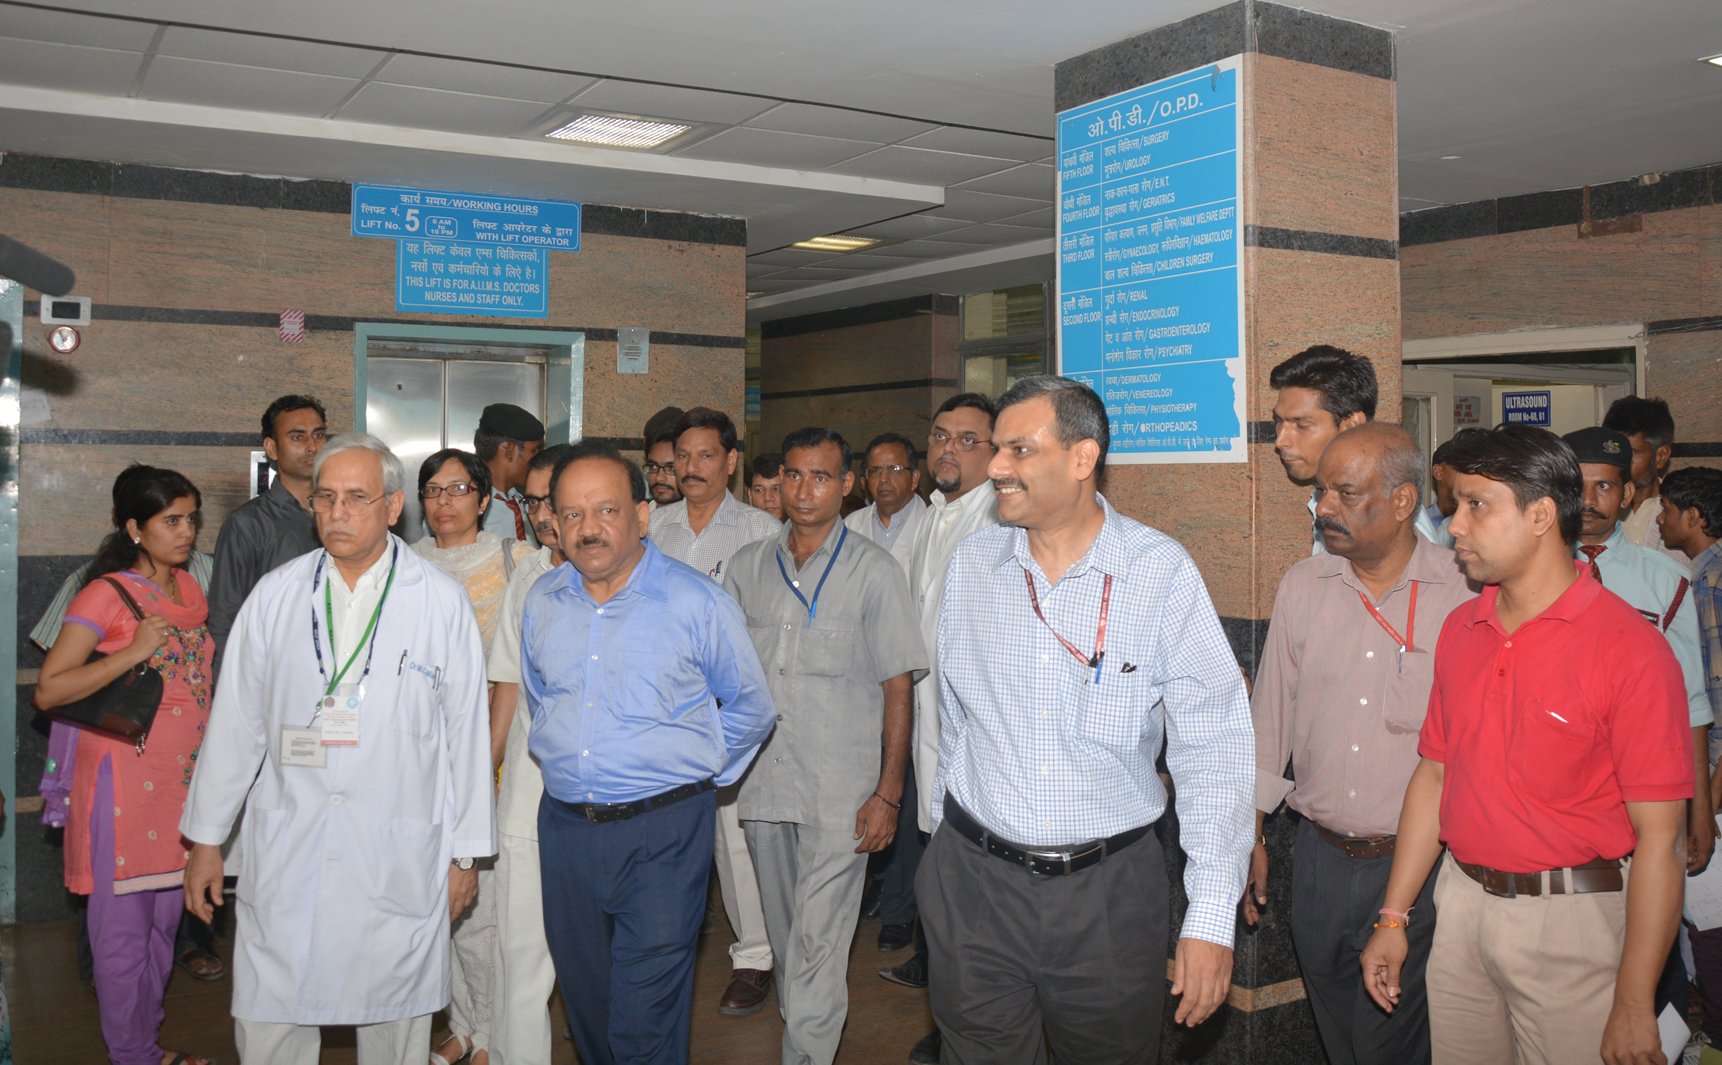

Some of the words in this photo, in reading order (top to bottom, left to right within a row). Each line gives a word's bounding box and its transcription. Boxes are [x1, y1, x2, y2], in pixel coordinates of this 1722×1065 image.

[1153, 89, 1207, 126] O.P.D.
[1081, 99, 1151, 143] ओ॰पी॰डी॰
[356, 215, 386, 231] LIFT
[357, 197, 389, 217] लिफ्ट
[381, 217, 403, 235] No.
[385, 200, 405, 218] नं.
[395, 188, 425, 206] कार्य
[396, 239, 425, 257] यह
[401, 270, 426, 294] THIS
[405, 255, 432, 275] नर्सो
[416, 235, 449, 259] लिफ्ट
[420, 273, 445, 291] LIFT
[425, 256, 447, 278] एवं
[423, 192, 452, 209] समय
[419, 287, 462, 307] NURSES A
[443, 237, 476, 261] केवल
[452, 275, 472, 295] FOR
[455, 289, 478, 307] AND
[443, 255, 493, 277] कर्मचारियो
[449, 194, 505, 215] WORKING
[470, 244, 495, 263] एम्स
[465, 214, 501, 234] लिफ्ट
[469, 228, 502, 244] WITH
[468, 277, 505, 297] A.I.I.M.S.
[471, 291, 503, 309] STAFF
[487, 260, 506, 277] के
[494, 229, 523, 246] LIFT
[495, 291, 527, 310] ONLY.
[501, 257, 525, 283] लिऐ
[490, 238, 541, 266] चिकित्सकों,
[499, 219, 540, 236] आपरेटर
[497, 278, 543, 300] ००८७०१५
[502, 199, 543, 217] HOURS
[517, 260, 541, 283] है।
[538, 218, 556, 237] क‍े
[521, 232, 573, 249] ०९६९४००९
[552, 224, 577, 240] द्वारा
[1058, 190, 1079, 214] चौथी
[1055, 231, 1082, 253] तीसरी
[1057, 291, 1080, 315] दूसरी
[1057, 147, 1081, 171] पांचवी
[1059, 310, 1087, 328] SECOND
[1059, 244, 1098, 266] THIRDFLOOR
[1059, 162, 1099, 185] FIFTHFLOOR
[1059, 201, 1105, 228] FOURTHFLOOR
[1071, 185, 1095, 210] मंजिल
[1073, 291, 1095, 311] मंजिल
[1072, 226, 1099, 249] मंजिल
[1075, 140, 1098, 168] मंजिल
[1098, 288, 1117, 313] गुर्दा
[1101, 266, 1118, 285] बाल
[1100, 308, 1120, 329] ग्रन्थी
[1097, 242, 1124, 265] स्त्रीरोग
[1100, 224, 1122, 246] परिवार
[1099, 155, 1125, 183] मूत्ररोग/
[1101, 199, 1131, 223] वृद्धावस्था
[1110, 287, 1129, 305] रोग/
[1111, 263, 1131, 281] शल्य
[1115, 305, 1131, 327] रोग
[1116, 223, 1137, 244] कल्याण
[1099, 174, 1155, 203] नाक-कान-गला रोग/
[1123, 195, 1143, 217] रोग/
[1119, 152, 1153, 173] UROLOGY
[1125, 287, 1151, 304] RENAL
[1124, 256, 1157, 281] चिकित्सा
[1120, 241, 1162, 266] GYNAECOLOGY,
[1133, 221, 1153, 241] जनन्
[1128, 303, 1183, 324] ENDOCRINOLOGY
[1146, 215, 1167, 238] प्रसूति
[1138, 188, 1179, 211] GERIATRICS
[1150, 172, 1174, 193] ENT
[1151, 253, 1188, 277] CHILDREN
[1161, 211, 1180, 233] विभाग
[1156, 229, 1194, 257] रुधिरविज्ञान
[1179, 249, 1218, 269] SURGERY
[1187, 225, 1235, 247] /HAEMATOLOGY
[1100, 325, 1117, 349] पेट
[1115, 324, 1136, 347] आंत
[1129, 324, 1146, 345] रोग/
[1144, 319, 1213, 341] GASTROENTEROLOGY
[1099, 347, 1127, 368] मनोरोग
[1119, 339, 1145, 365] वि‍कार
[1135, 341, 1157, 363] रोग/
[1155, 340, 1197, 361] PSYCHIATRY
[1101, 369, 1164, 391] त्वचा/DERMATOLOGY
[1101, 383, 1133, 403] रतिजरोग/
[1129, 385, 1177, 402] VENEREOLOGY
[1121, 397, 1149, 419] चिकित्सा/
[1147, 401, 1201, 417] PHYSIOTHERAPY